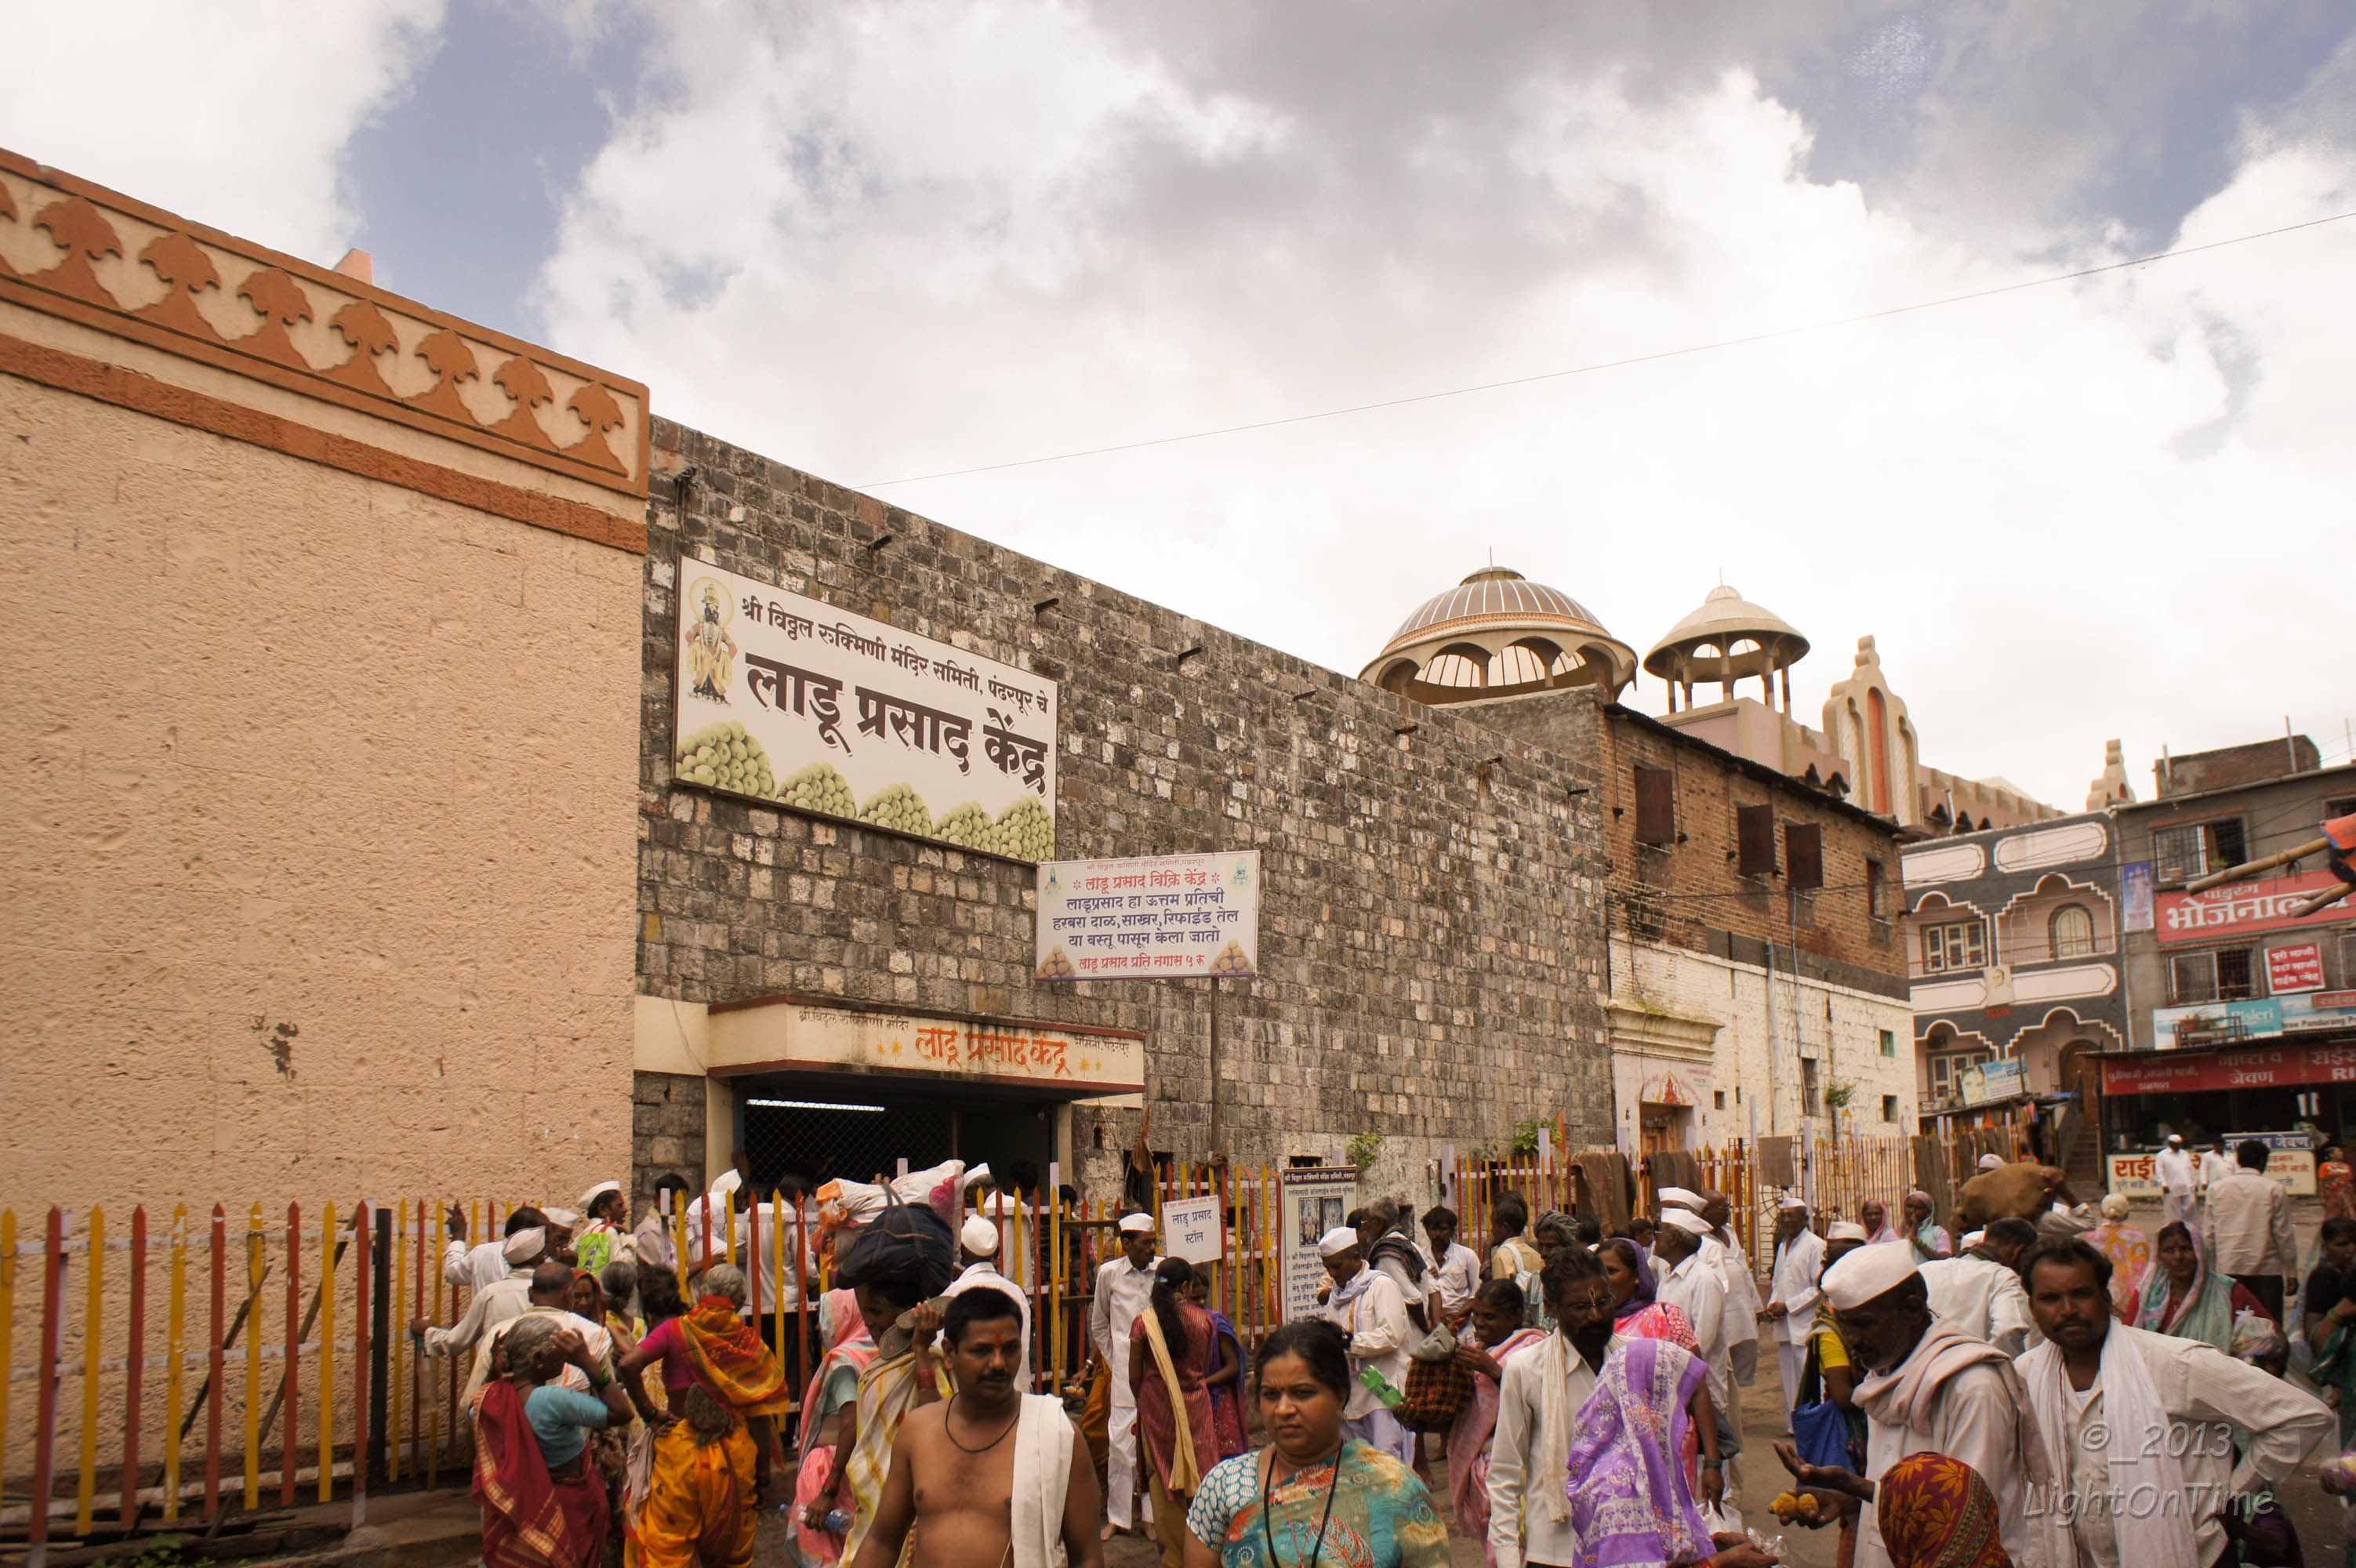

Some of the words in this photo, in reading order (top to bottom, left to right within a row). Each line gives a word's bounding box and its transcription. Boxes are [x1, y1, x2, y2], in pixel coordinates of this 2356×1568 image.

[739, 587, 767, 627] श्री
[761, 595, 818, 644] विठ्ठल
[816, 618, 891, 665] रुक्मिणी
[887, 636, 934, 682] मंदिर
[929, 653, 984, 694] समिती
[744, 649, 859, 758] लाडू
[985, 673, 1036, 718] पंढरपूर
[1031, 684, 1055, 716] चे
[852, 682, 978, 777] प्रसाद
[978, 698, 1053, 801] कें‍द्र
[1051, 910, 1092, 931] हरबरा
[1064, 931, 1087, 951] या
[1065, 893, 1127, 916] लाडूप्रसाद
[1084, 868, 1114, 898] लाडू
[1084, 929, 1119, 954] वस्तू
[1087, 910, 1121, 931] दाळ,
[1111, 868, 1149, 891] प्रसाद
[1124, 891, 1148, 911] हा
[1116, 927, 1156, 953] पासून
[1116, 909, 1162, 929] साखर
[1142, 889, 1182, 911] ऊत्तम
[1142, 862, 1183, 891] विक्रि
[1147, 924, 1188, 946] केला
[1160, 902, 1214, 929] रिफाईड
[1180, 863, 1211, 889] केंद्र
[1182, 882, 1228, 909] प्रतिची
[1189, 920, 1224, 946] जातो
[1211, 901, 1243, 924] तेल
[2203, 875, 2267, 904] पांडुरंग
[2162, 883, 2308, 934] भोजनाल
[1076, 953, 1104, 977] लाडू
[1100, 951, 1131, 970] प्रसाद
[1127, 946, 1156, 970] प्रति
[1149, 949, 1185, 970] नगास
[1181, 949, 1211, 970] ७ रु
[791, 998, 842, 1032] श्री विठ्ठल
[838, 1004, 887, 1029] रुक्मिणी
[881, 1009, 914, 1034] मंदिर
[913, 1018, 965, 1071] लाडू
[964, 1028, 1036, 1076] प्रसाद
[1029, 1028, 1076, 1076] केंद्र
[1070, 1032, 1105, 1053] समिती.
[1099, 1034, 1134, 1061] पंढरपूर
[2214, 1044, 2269, 1072] नाष्टा
[2267, 1045, 2288, 1065] व
[2224, 1062, 2276, 1089] जेवण
[2271, 1131, 2314, 1152] जेवण
[2114, 1149, 2160, 1183] राई
[1167, 1209, 1196, 1230] लाडु
[1188, 1207, 1218, 1222] प्रसाद
[1179, 1225, 1208, 1249] स्टॉल
[2016, 1476, 2191, 1531] LightOn
[2183, 1480, 2279, 1521] Time